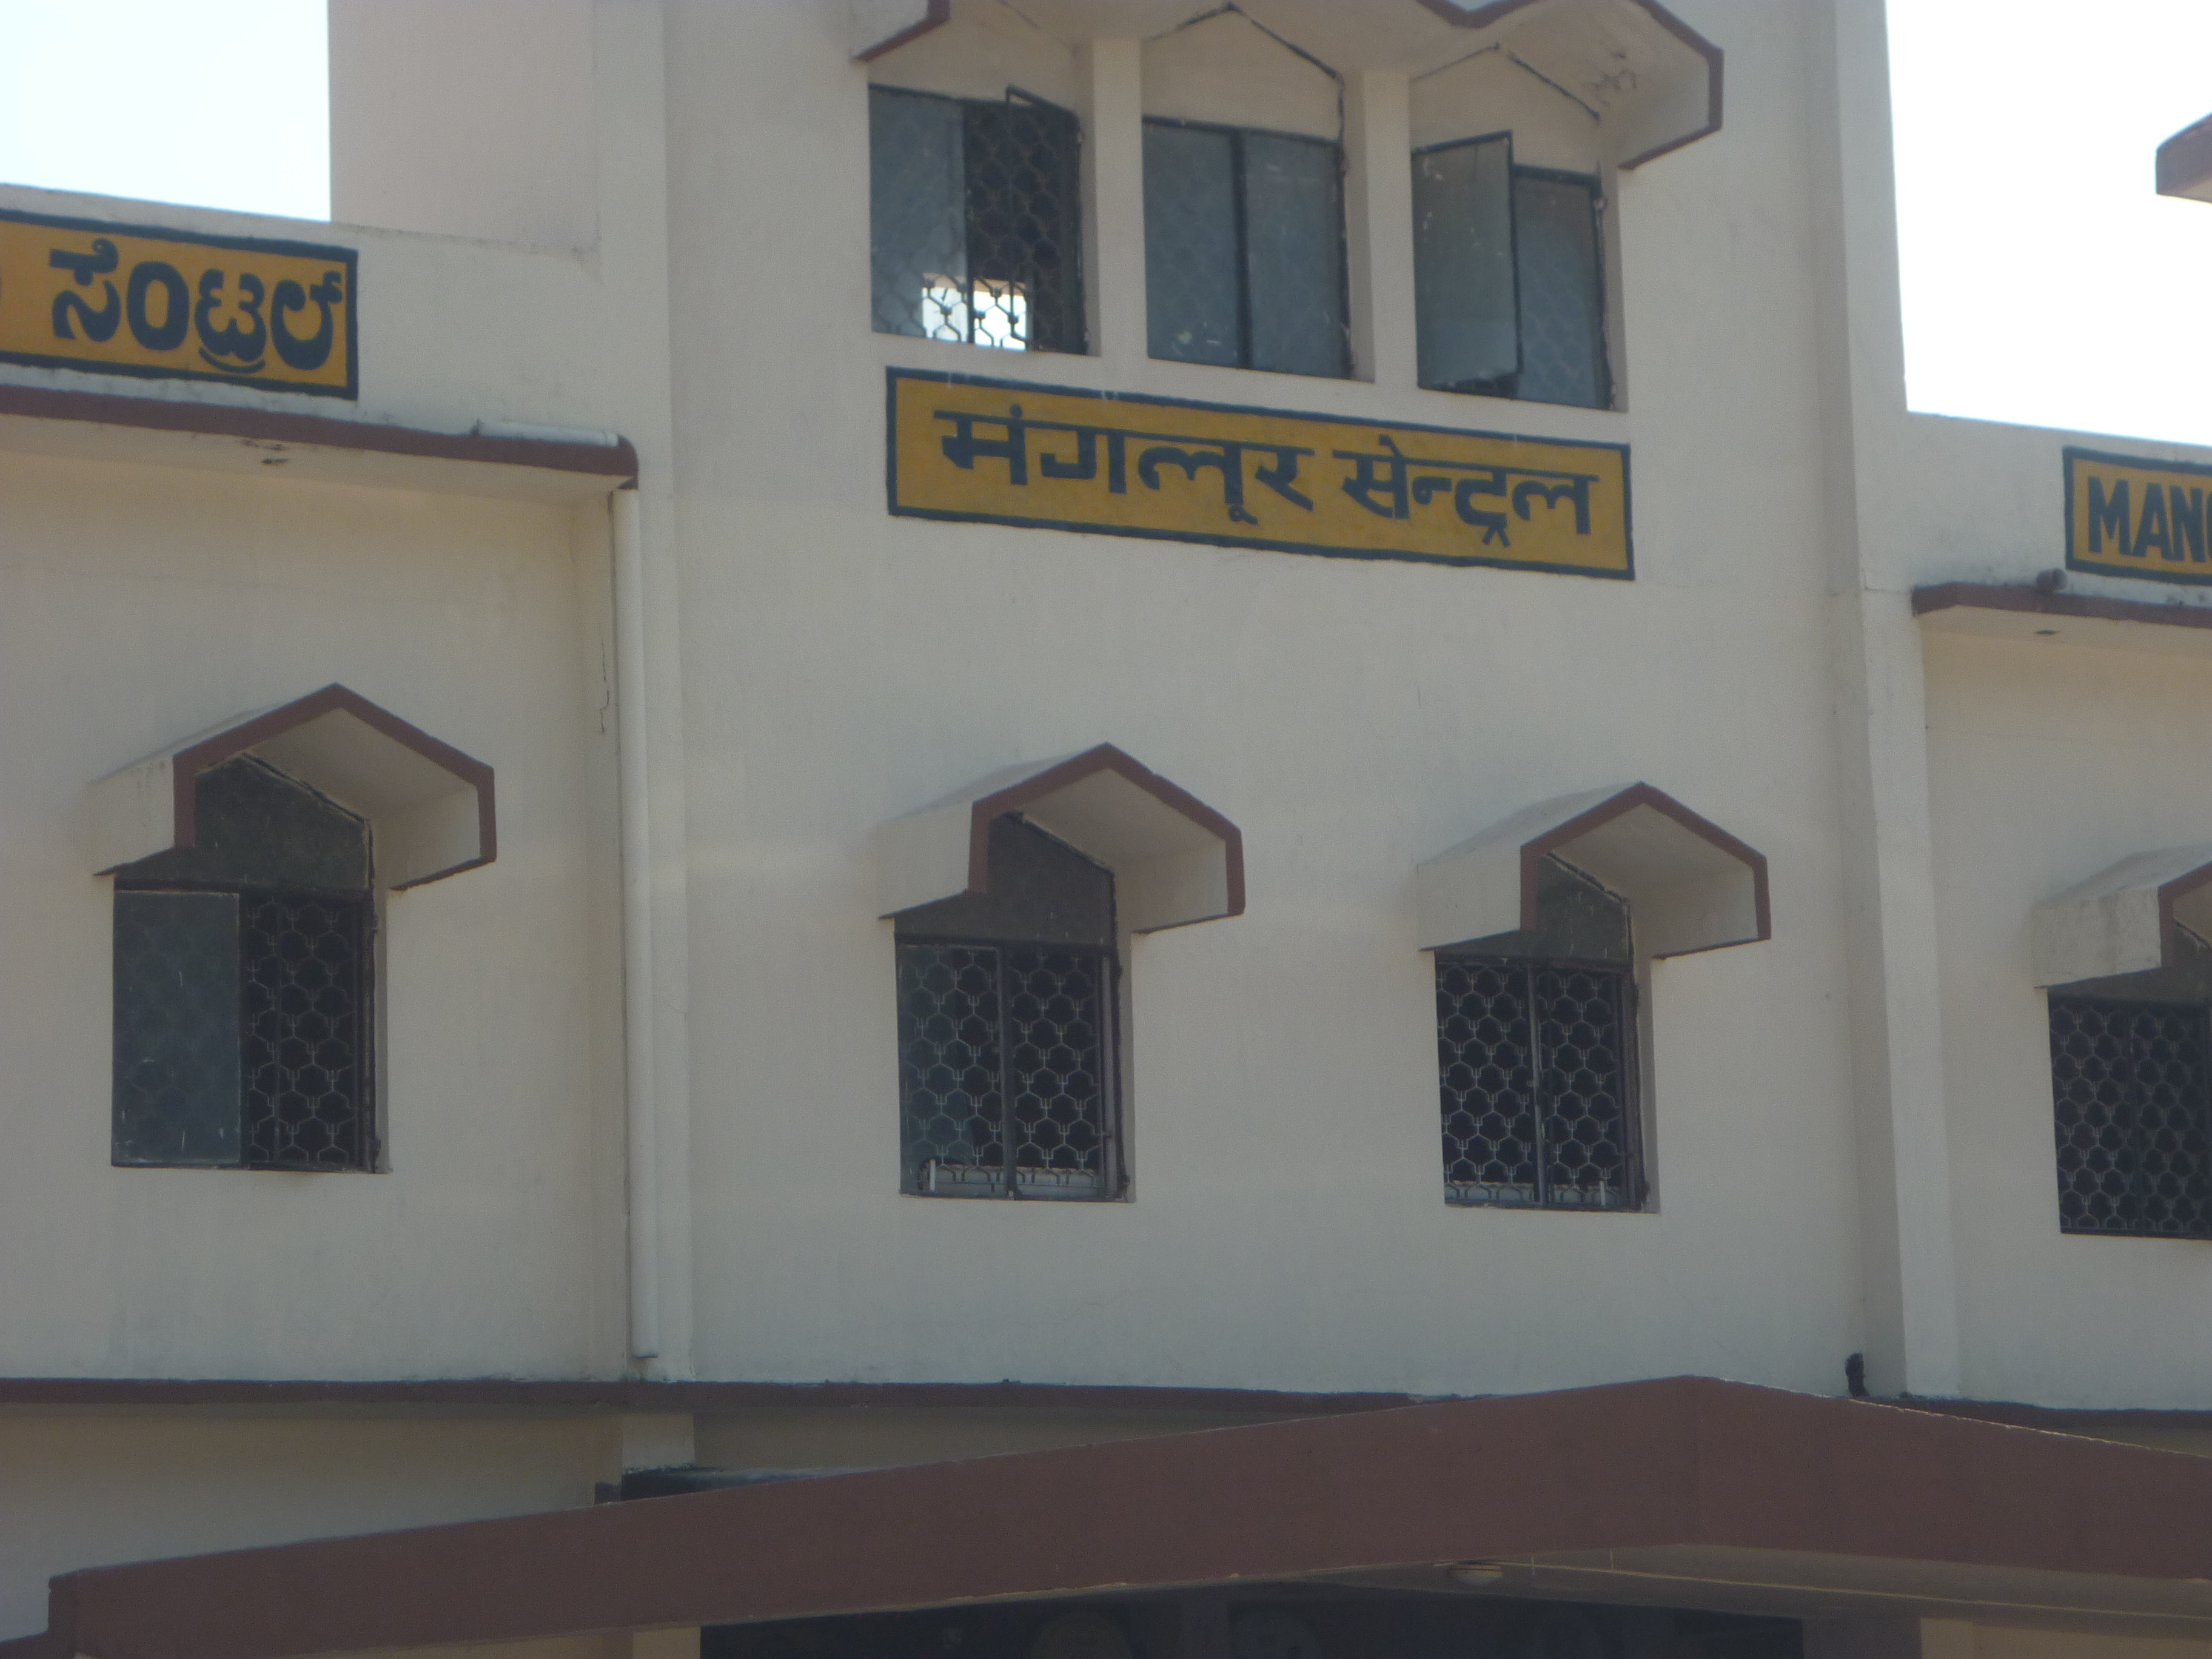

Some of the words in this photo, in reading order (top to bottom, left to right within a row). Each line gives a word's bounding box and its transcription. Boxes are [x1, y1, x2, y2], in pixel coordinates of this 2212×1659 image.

[33, 224, 353, 382] ಸೆಂಟಲೆ
[930, 398, 1319, 532] मंगलूर
[1332, 423, 1601, 551] सेन्ट्रल
[2067, 462, 2212, 568] MAN